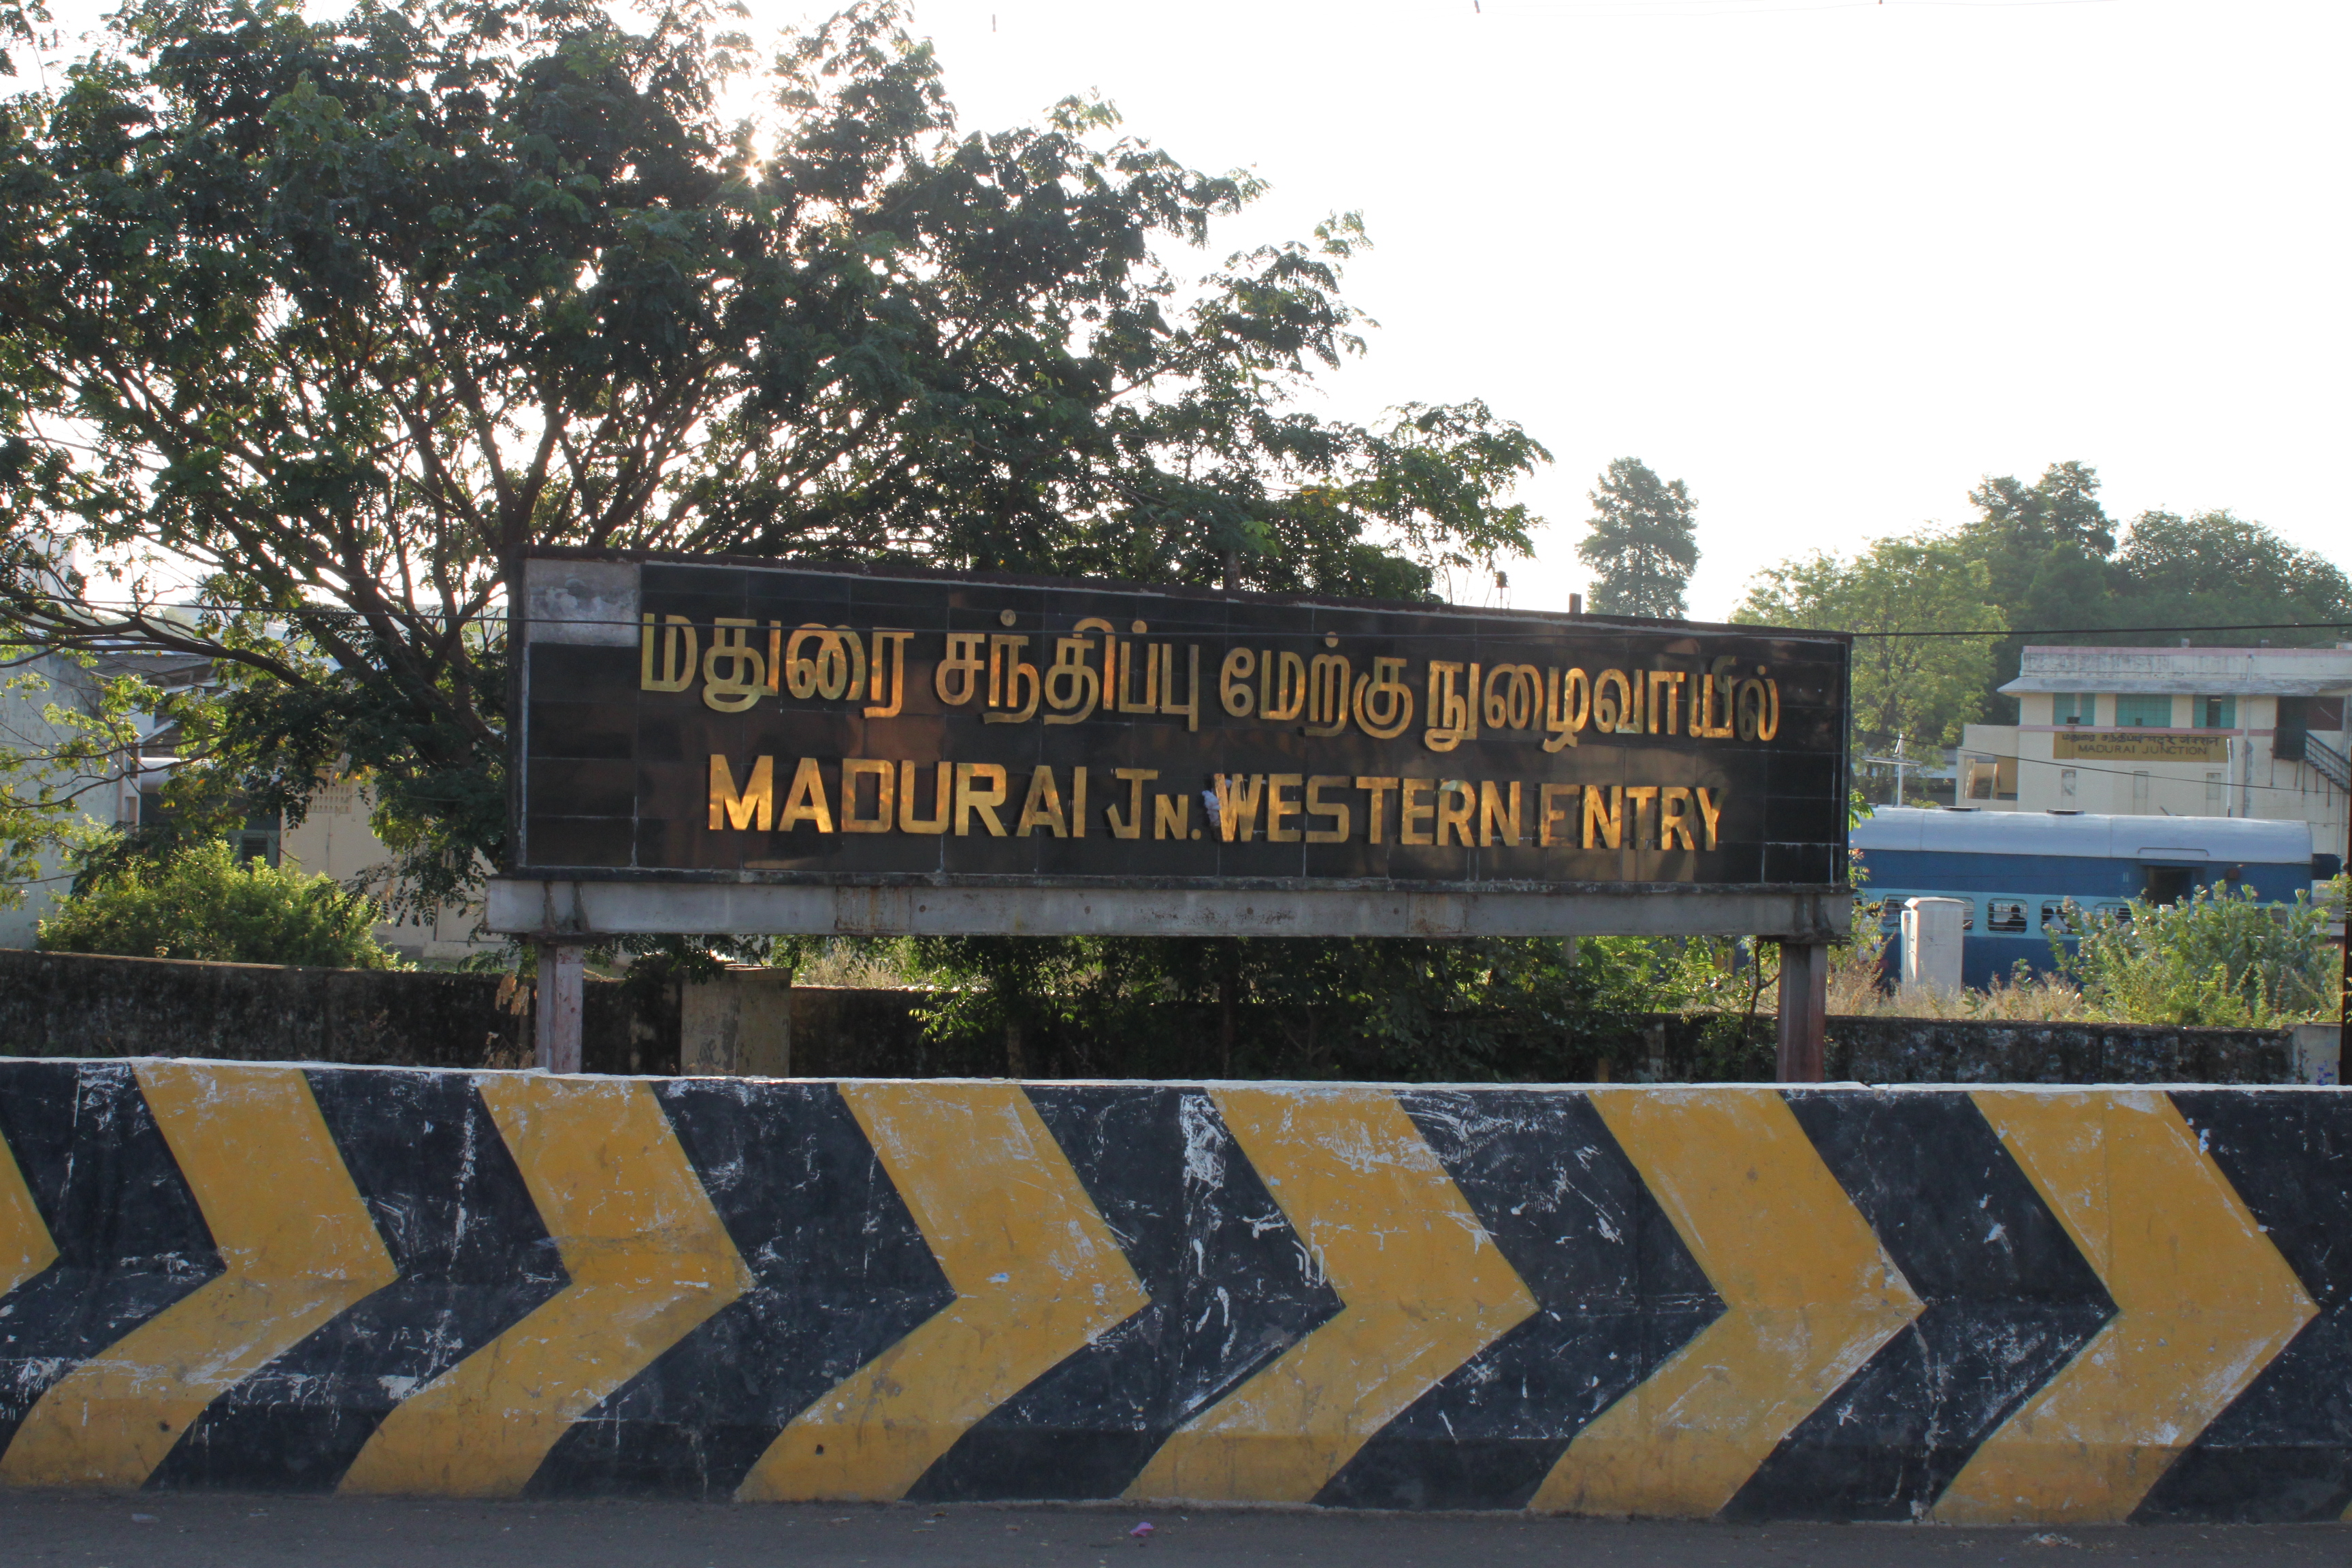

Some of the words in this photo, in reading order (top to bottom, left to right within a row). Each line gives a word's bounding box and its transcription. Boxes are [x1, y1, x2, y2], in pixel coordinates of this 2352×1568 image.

[637, 608, 921, 723] மதுரை
[928, 604, 1202, 734] சந்திப்பு
[1211, 628, 1418, 745] மேற்கு
[1419, 658, 1782, 758] நுழைவாயில்
[703, 751, 1091, 840] MADURAI
[1102, 764, 1206, 846] JN.
[1212, 770, 1525, 849] WESTERN
[1535, 781, 1733, 856] ENTRY